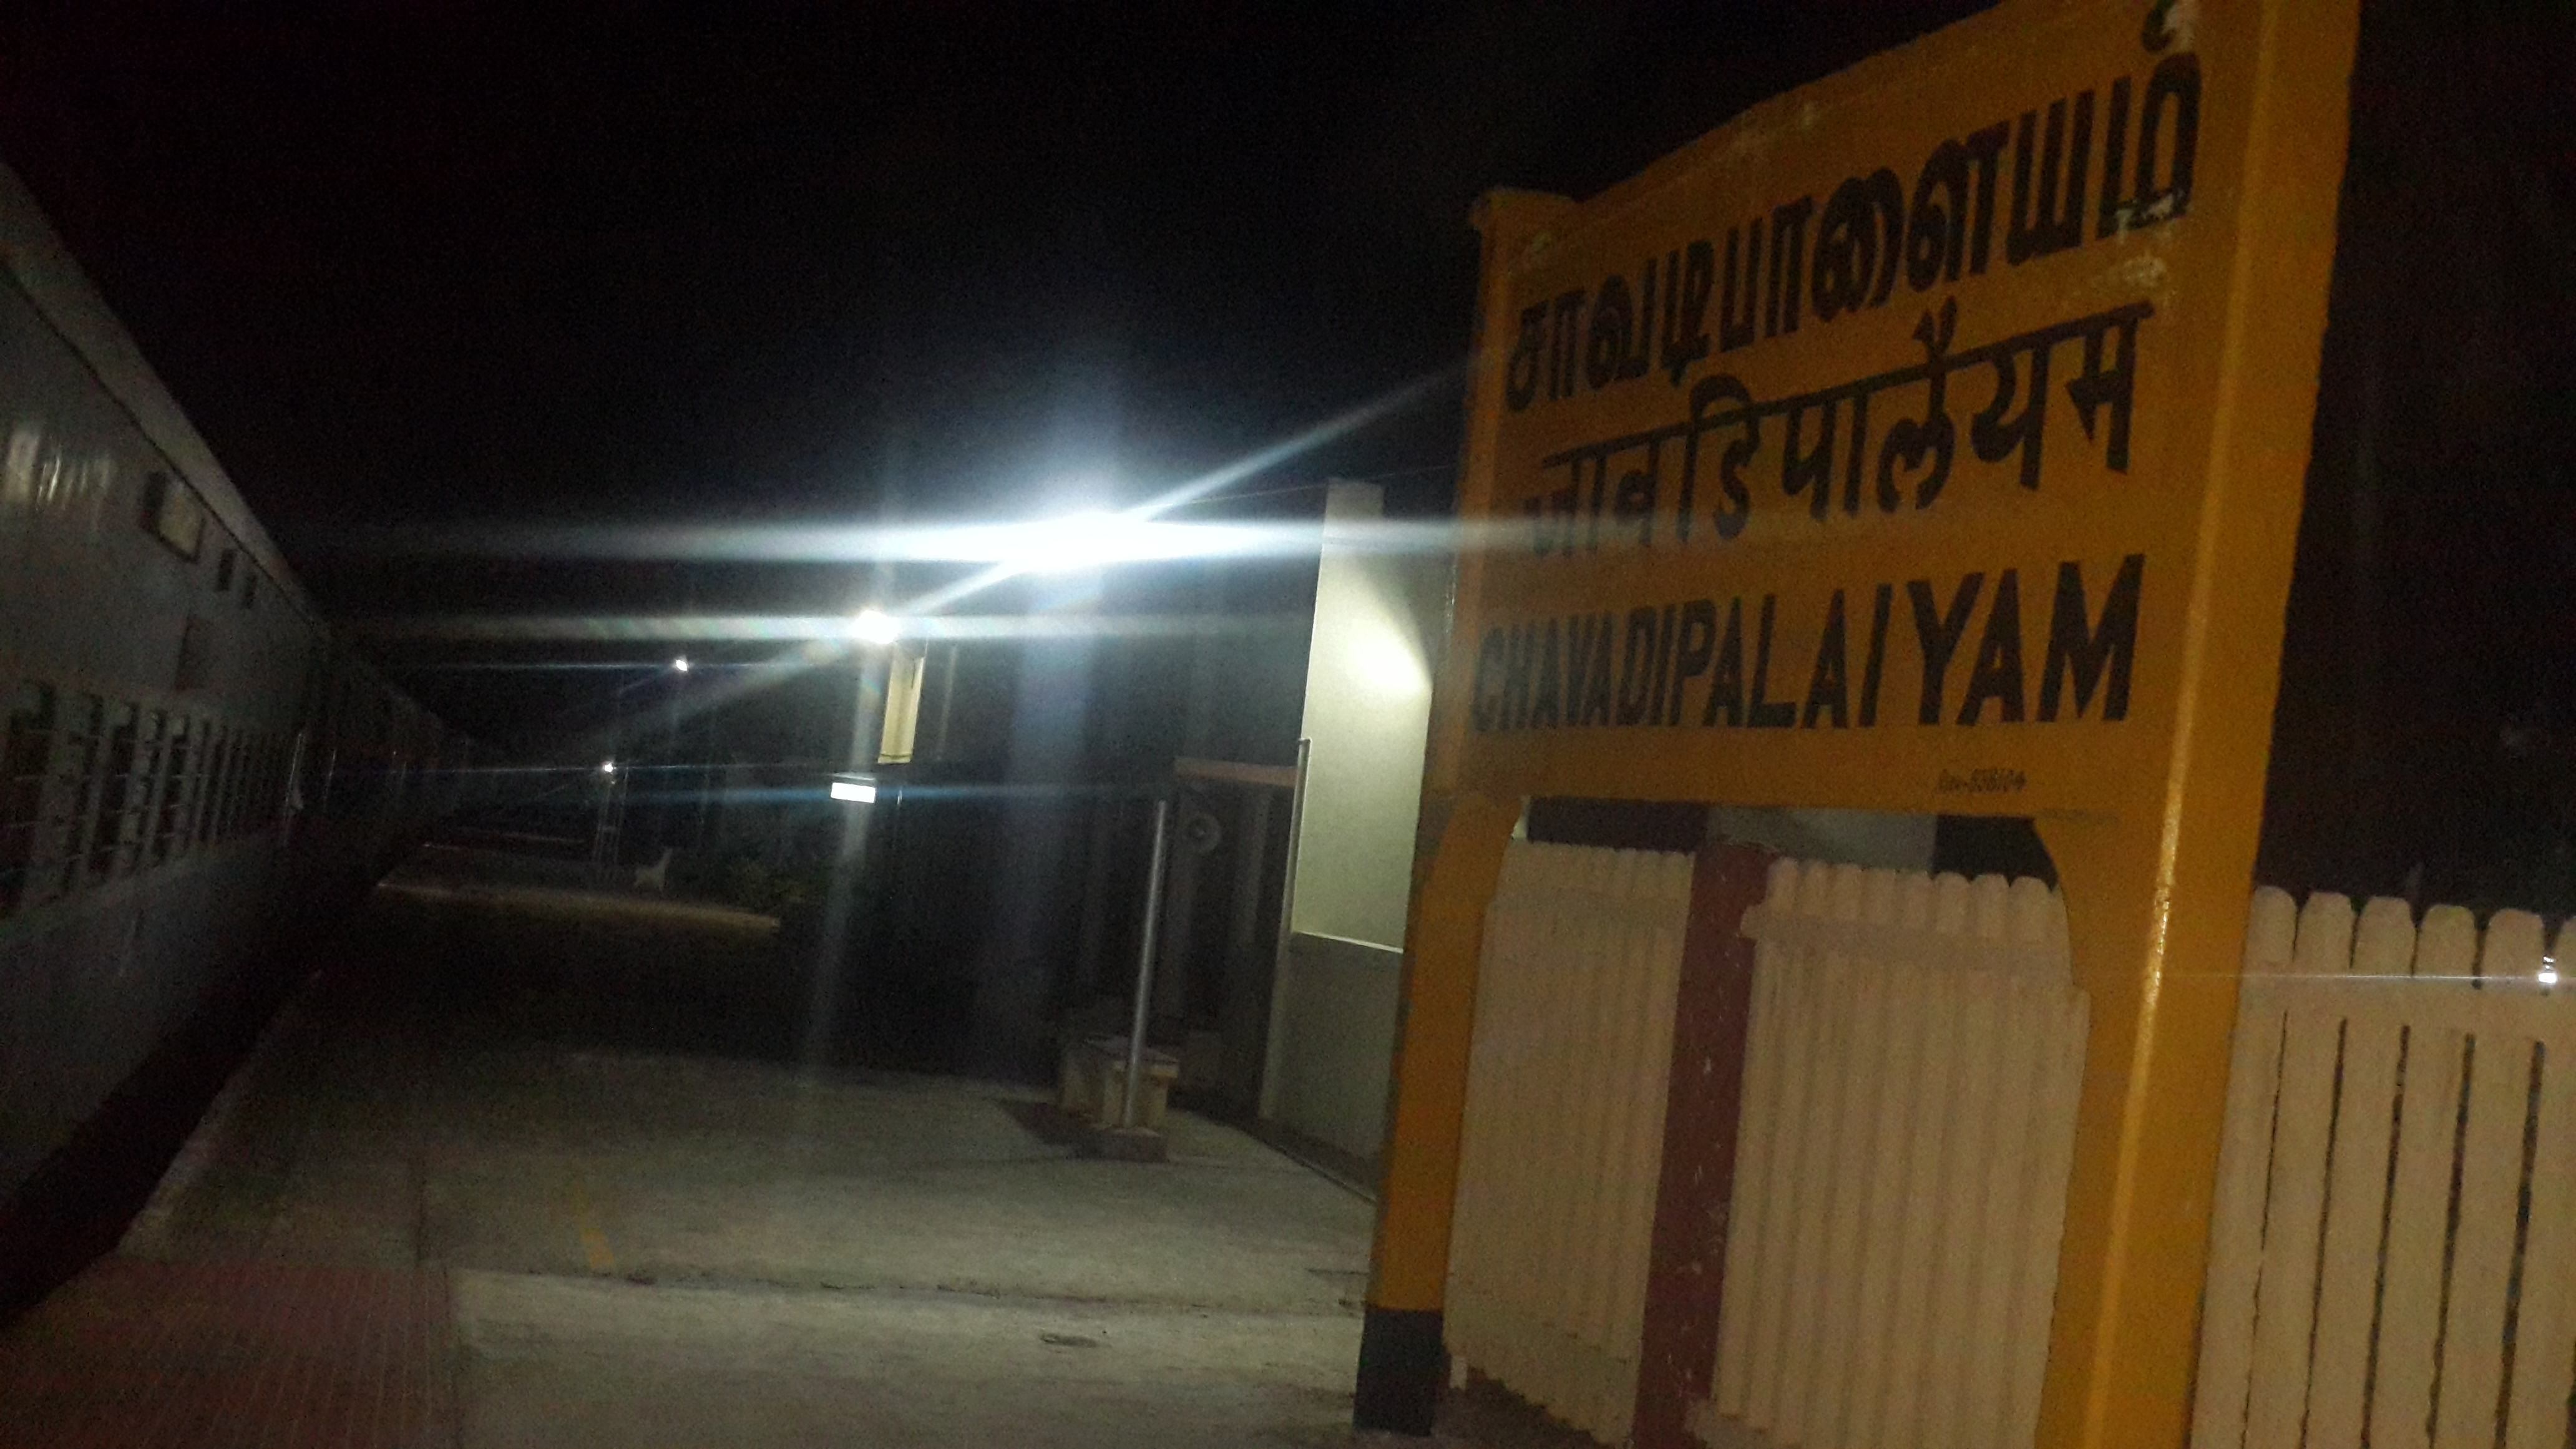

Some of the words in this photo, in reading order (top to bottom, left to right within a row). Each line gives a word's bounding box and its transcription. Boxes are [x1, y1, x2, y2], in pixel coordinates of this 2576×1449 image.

[1498, 4, 2208, 417] சாவமபாளையம்
[1521, 290, 2164, 567] जावडिपालैयम
[1464, 548, 2152, 734] CHANADIPALAIYAM